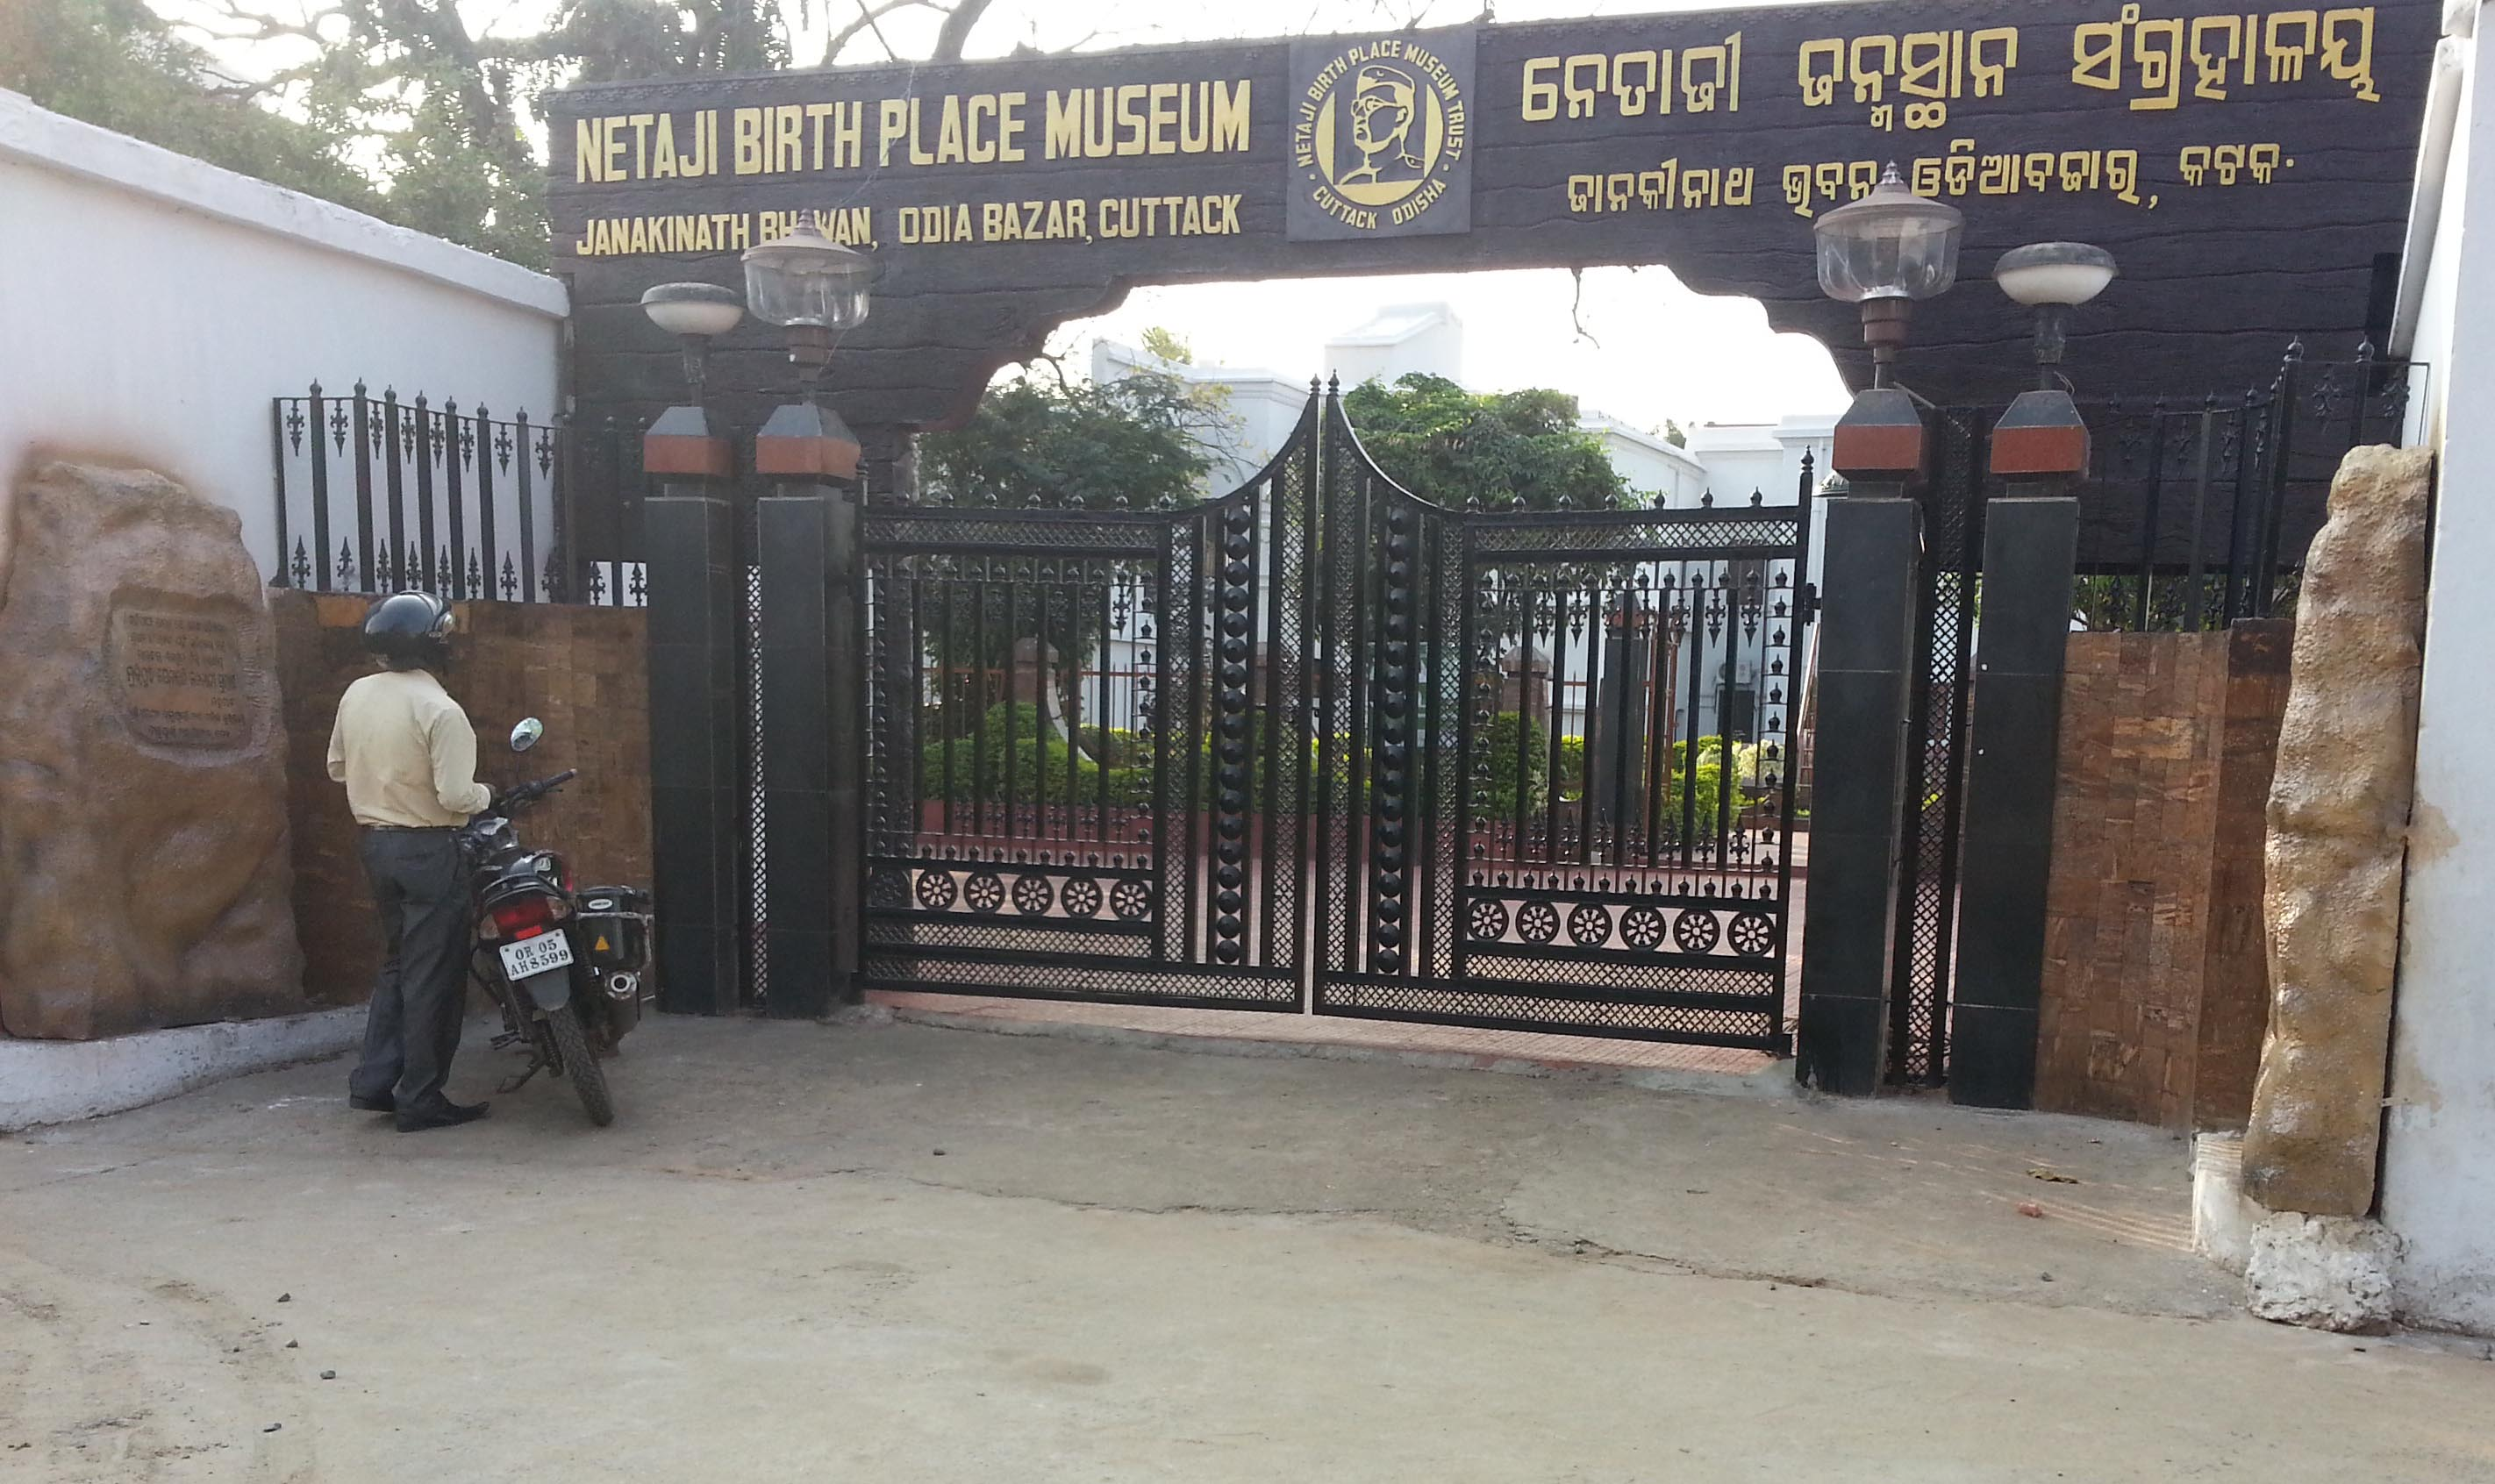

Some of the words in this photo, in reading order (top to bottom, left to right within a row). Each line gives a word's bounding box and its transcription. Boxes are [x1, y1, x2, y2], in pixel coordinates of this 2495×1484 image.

[1301, 49, 1353, 105] BIRTH
[1341, 34, 1404, 71] PLACE
[1398, 39, 1464, 103] MUSEUM
[1513, 27, 1744, 127] ନେତାଜୀ
[1793, 23, 2021, 134] ଜନ୍ମସ୍ଥାନ
[2066, 0, 2384, 115] ସଂଗ୍ରହାଳୟ
[568, 103, 726, 188] NETAJI
[571, 206, 755, 260] JANAKINATH
[728, 93, 868, 180] BIRTH
[891, 197, 974, 252] ODIA
[875, 87, 1032, 171] PLACE
[976, 195, 1089, 245] BAZAR,
[1041, 75, 1254, 162] MUSEUM
[1091, 184, 1244, 240] CUTTACK
[1287, 95, 1319, 172] NETAJI
[1306, 182, 1379, 234] CUTTACK
[1389, 172, 1450, 230] ODISHA
[1442, 96, 1468, 161] TRUST
[1558, 152, 1758, 213] ଜାନକୀନାଥ
[1779, 153, 1884, 222] ଭୁବନ
[1907, 132, 2141, 209] ଓଡିଆବଜାର
[2177, 131, 2284, 189] କଟକ